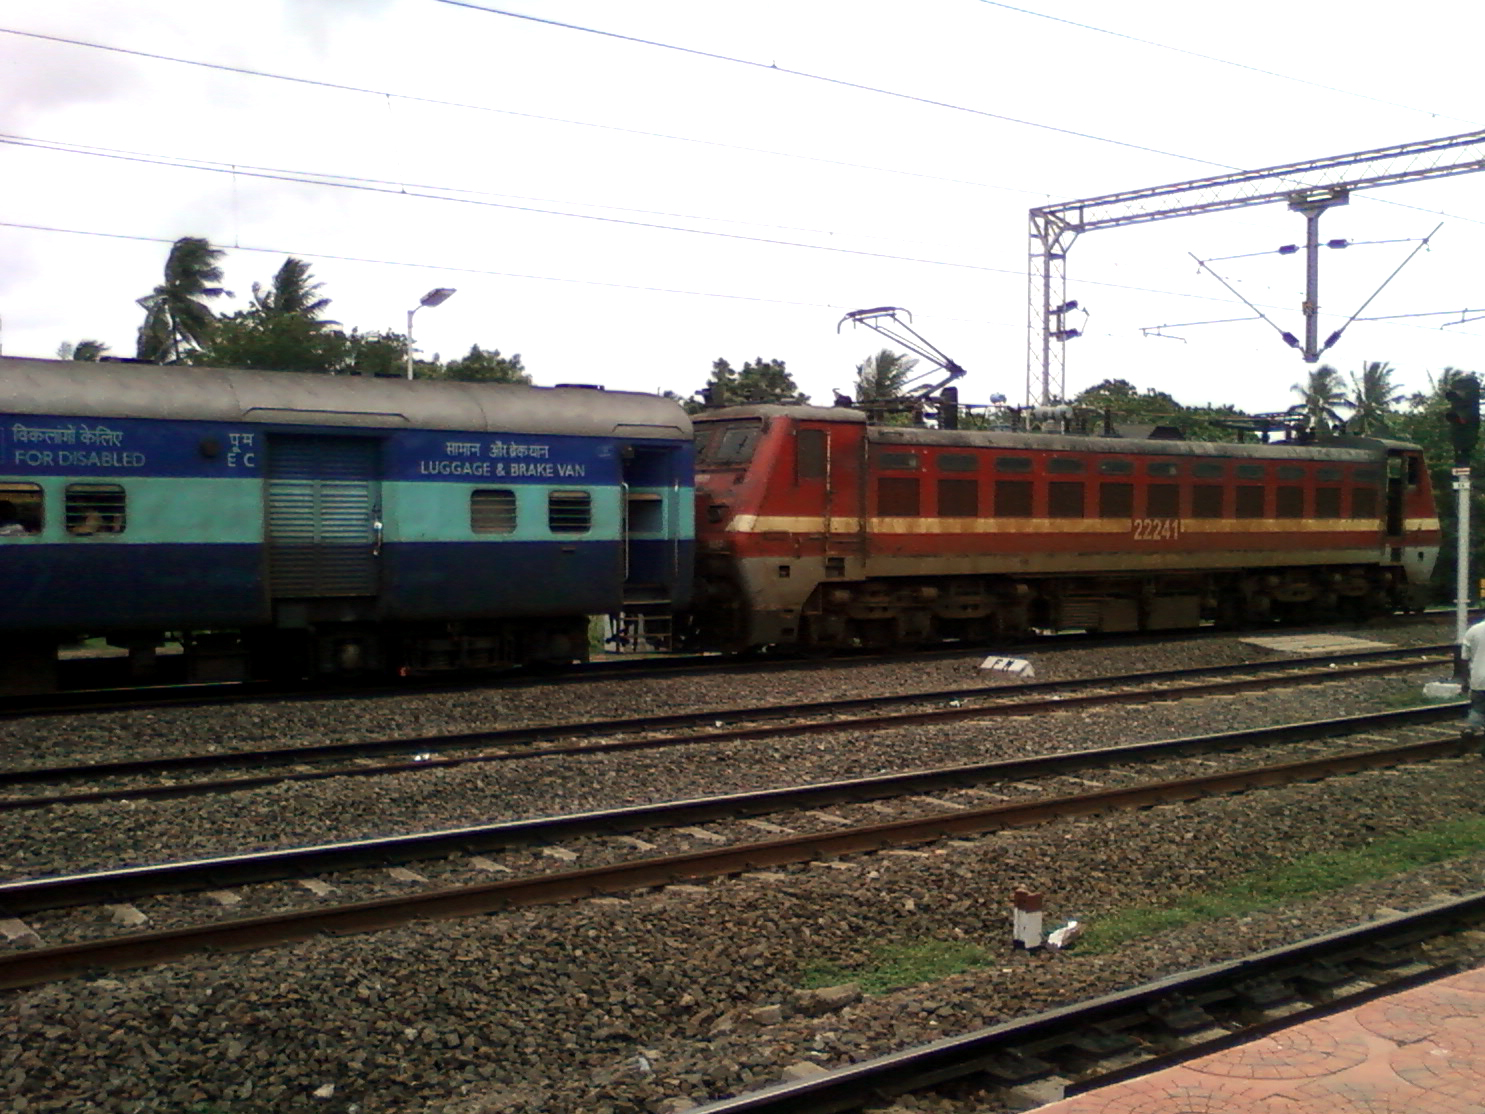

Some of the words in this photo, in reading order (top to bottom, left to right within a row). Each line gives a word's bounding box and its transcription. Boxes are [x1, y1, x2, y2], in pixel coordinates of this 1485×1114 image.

[7, 416, 83, 448] विकलांगों
[73, 418, 127, 451] केलिए
[11, 445, 57, 473] FOR
[57, 448, 150, 473] DISABLED
[415, 453, 495, 481] LUGGAGE
[443, 439, 485, 459] सामान
[487, 436, 509, 462] और
[507, 437, 533, 463] ब्रेकर
[507, 459, 559, 481] BRAKE
[527, 441, 555, 464] यान
[554, 461, 590, 483] VAN